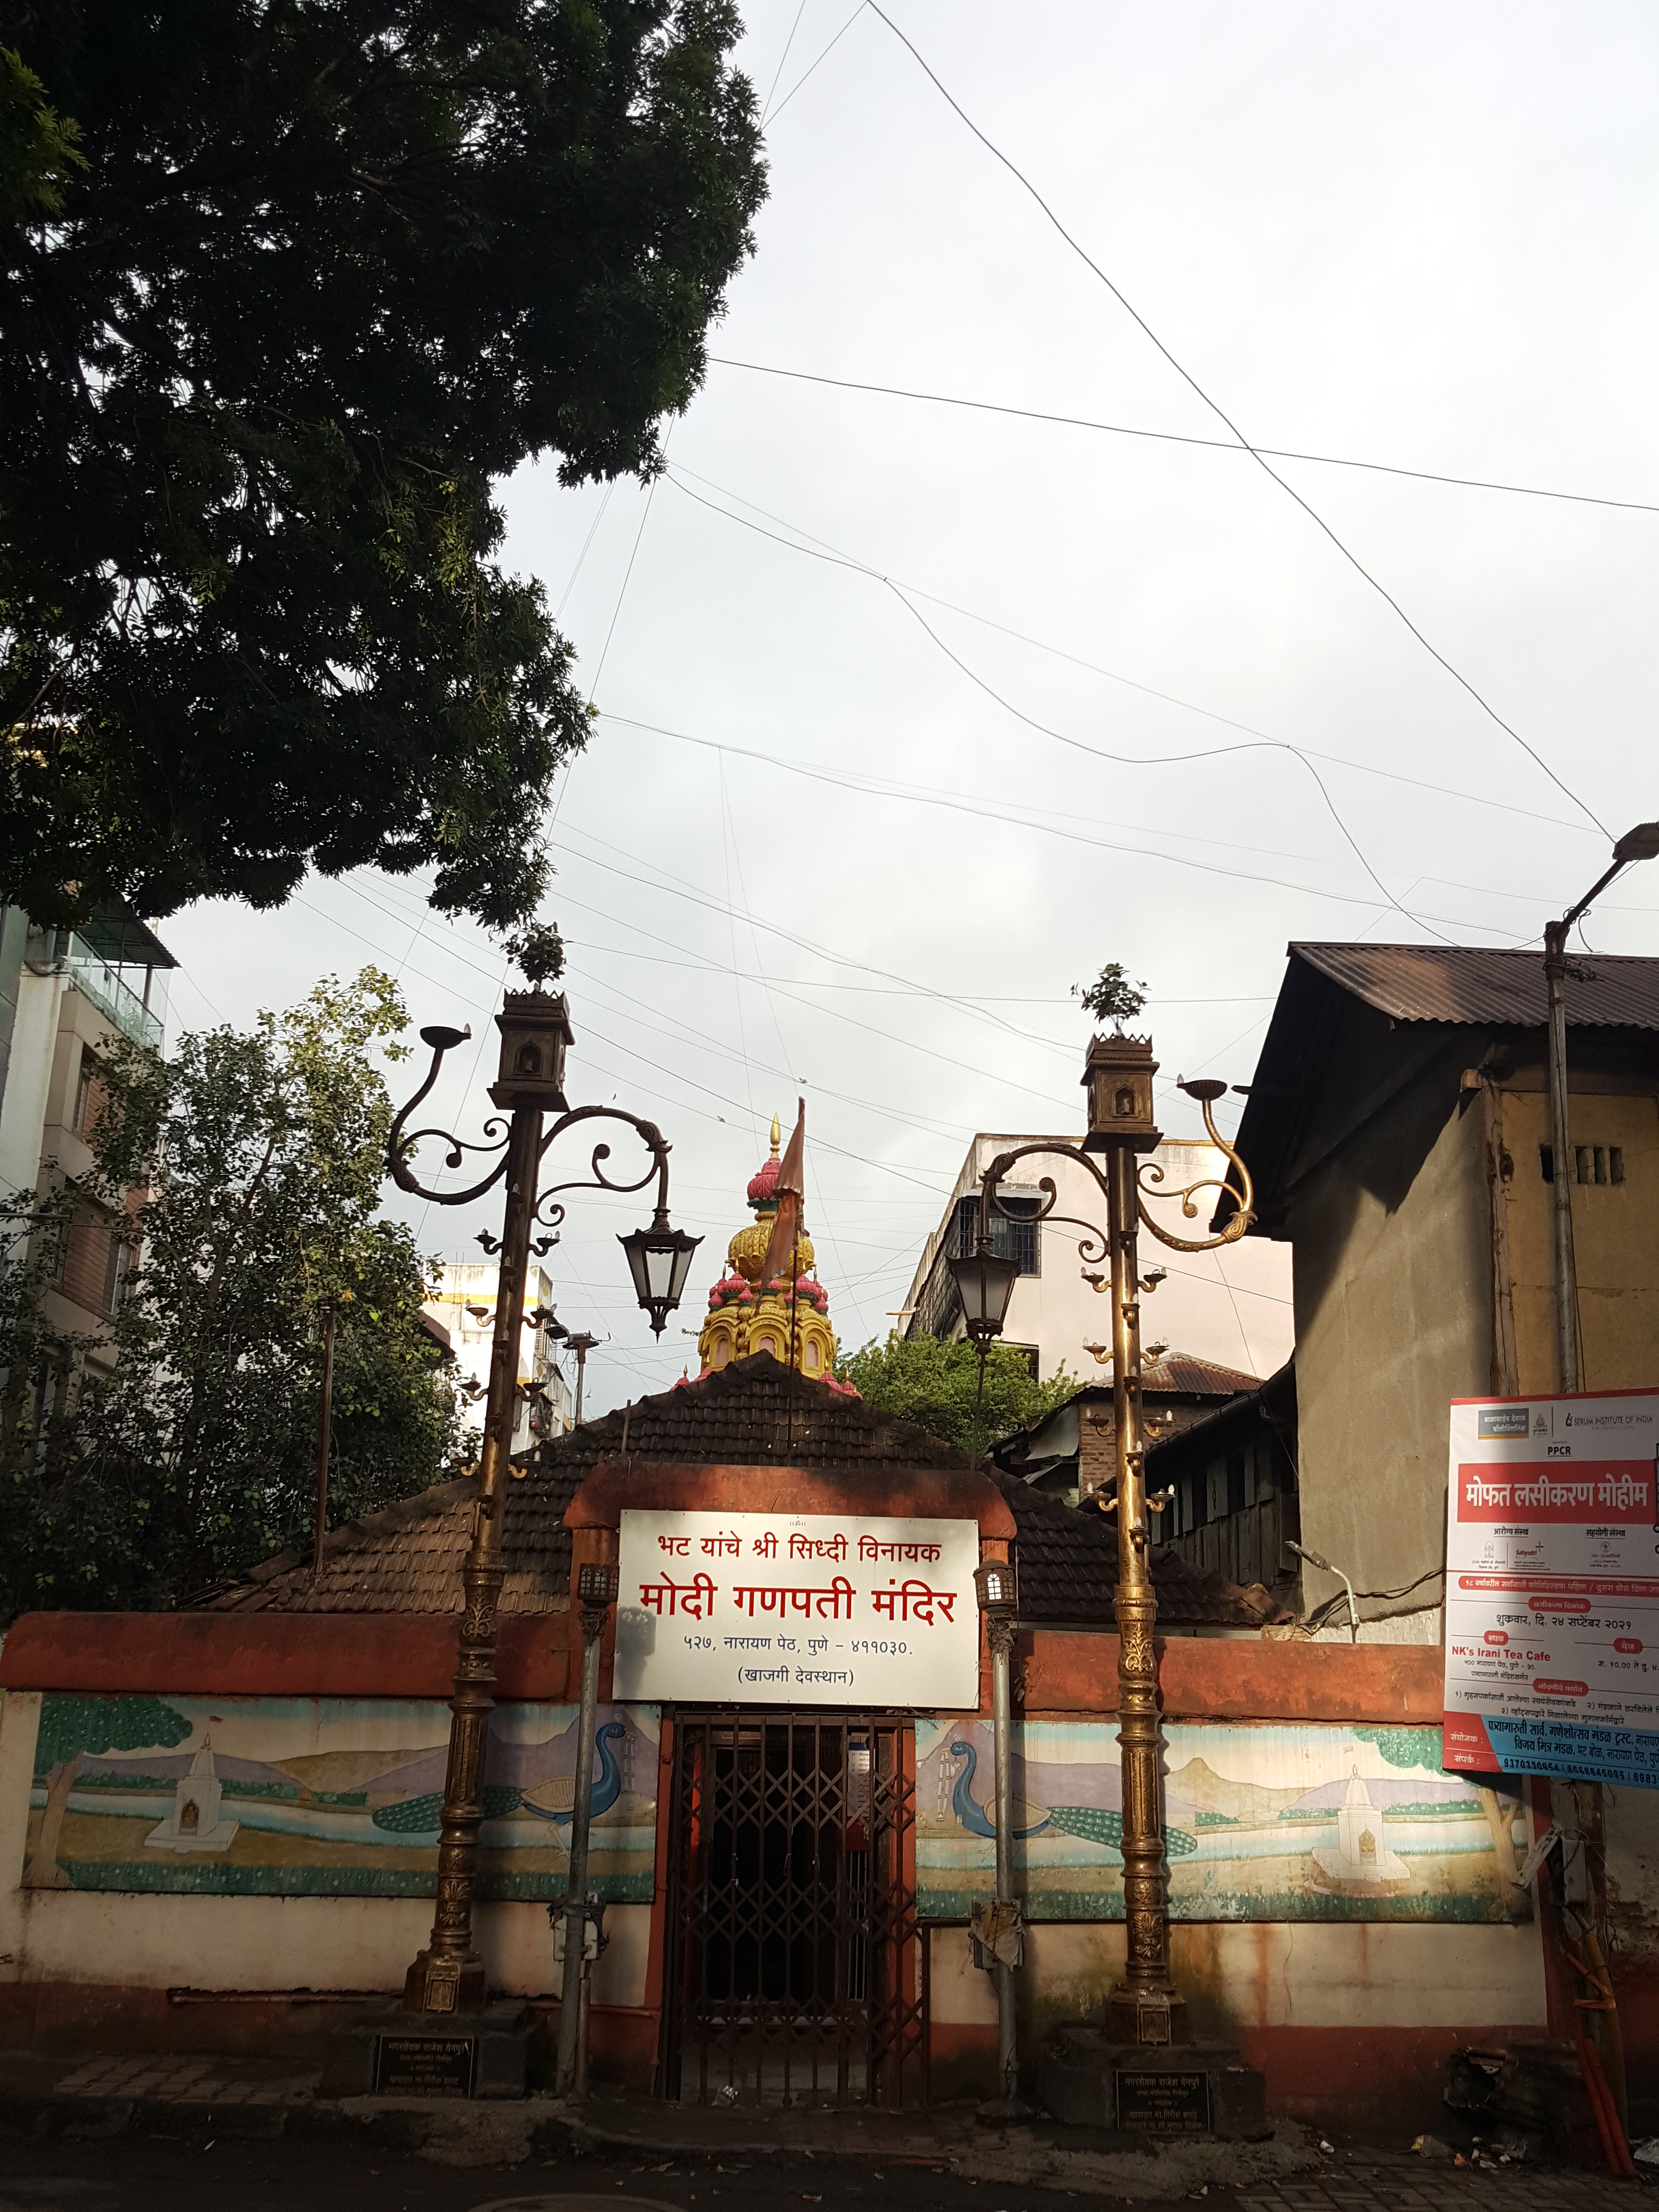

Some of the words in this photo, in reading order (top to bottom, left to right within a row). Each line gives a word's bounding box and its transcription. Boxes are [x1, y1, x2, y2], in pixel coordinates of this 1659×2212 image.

[1482, 1411, 1514, 1425] बाळासाहेब
[1510, 1411, 1527, 1424] देवरस
[1546, 1442, 1574, 1459] PPCR
[1463, 1470, 1514, 1509] मोफत
[1513, 1473, 1597, 1510] लसीकरण
[1592, 1469, 1651, 1514] मोहीम
[1491, 1523, 1516, 1537] आरोग्य
[1513, 1524, 1531, 1540] संस्था
[1585, 1524, 1612, 1539] सहयोगी
[1607, 1523, 1629, 1542] संस्था
[650, 1525, 697, 1561] भट
[697, 1527, 745, 1562] यांचे
[746, 1530, 781, 1564] श्री
[782, 1527, 851, 1564] सिध्दी
[852, 1531, 946, 1567] विनायक
[636, 1570, 722, 1623] मोदी
[731, 1571, 861, 1622] गणपती
[868, 1573, 961, 1631] मंदिर
[1473, 1575, 1502, 1590] वर्षावरील
[1498, 1575, 1529, 1591] सर्वांसाठी
[1526, 1576, 1568, 1591] कोविशिल्डचा
[1565, 1580, 1591, 1595] पहिला
[1592, 1580, 1617, 1597] दुसरा
[1625, 1582, 1651, 1596] दिला
[1495, 1611, 1531, 1628] शुक्रवार
[1532, 1610, 1549, 1630] दि.
[1550, 1614, 1568, 1630] २४
[1564, 1613, 1602, 1631] सप्टेंबर
[1603, 1617, 1635, 1633] २0२१
[683, 1632, 716, 1654] ५२७
[721, 1633, 773, 1653] नारायण
[744, 1660, 792, 1683] खाजगी
[776, 1632, 799, 1657] पेठ,
[806, 1632, 831, 1660] पुणे
[790, 1662, 849, 1686] देवस्थान
[850, 1636, 911, 1657] ४११0३०
[1451, 1642, 1477, 1658] NK
[1461, 1657, 1476, 1670] ५00
[1475, 1657, 1497, 1670] नारायण
[1471, 1667, 1501, 1681] पश्चामारुती
[1476, 1646, 1503, 1660] Irani
[1495, 1658, 1509, 1671] पेठ,
[1507, 1659, 1521, 1673] पुणे
[1505, 1647, 1525, 1662] Tea
[1499, 1669, 1531, 1684] मंदिरासमोर
[1523, 1648, 1555, 1665] Cafe
[1616, 1638, 1637, 1654] वेळ
[1451, 1749, 1476, 1766] संपर्क
[1450, 1731, 1480, 1744] संयोजक
[1462, 1687, 1506, 1704] गृहसंपर्कासाठी
[1487, 1718, 1531, 1737] पत्र्यामारुती
[1505, 1692, 1532, 1705] आलेल्या
[1507, 1728, 1540, 1753] विजय
[1510, 1703, 1547, 1720] व्हॉट्सपद्वारे
[1529, 1721, 1550, 1740] सार्व.
[1534, 1735, 1554, 1756] मि‍त्र
[1531, 1695, 1578, 1710] स्वयंसेवकांकडे
[1546, 1706, 1582, 1722] मिळालेल्या
[1553, 1737, 1576, 1757] मंडळ
[1546, 1723, 1592, 1742] गणेशोत्सव
[1576, 1743, 1593, 1759] भट
[1585, 1742, 1606, 1759] बोळ,
[1588, 1725, 1613, 1746] मंडळ
[1581, 1711, 1627, 1727] गुगलफॉर्मद्वारे
[1596, 1700, 1624, 1713] मंडळाने
[1605, 1747, 1634, 1763] नारायण
[1613, 1728, 1635, 1748] ट्रस्ट,
[1628, 1744, 1649, 1765] पेठ,
[1622, 1700, 1656, 1715] ठरविलेले
[386, 2039, 424, 2057] नगरसेवक
[421, 2039, 445, 2055] राजेश
[443, 2039, 467, 2058] येनपुर